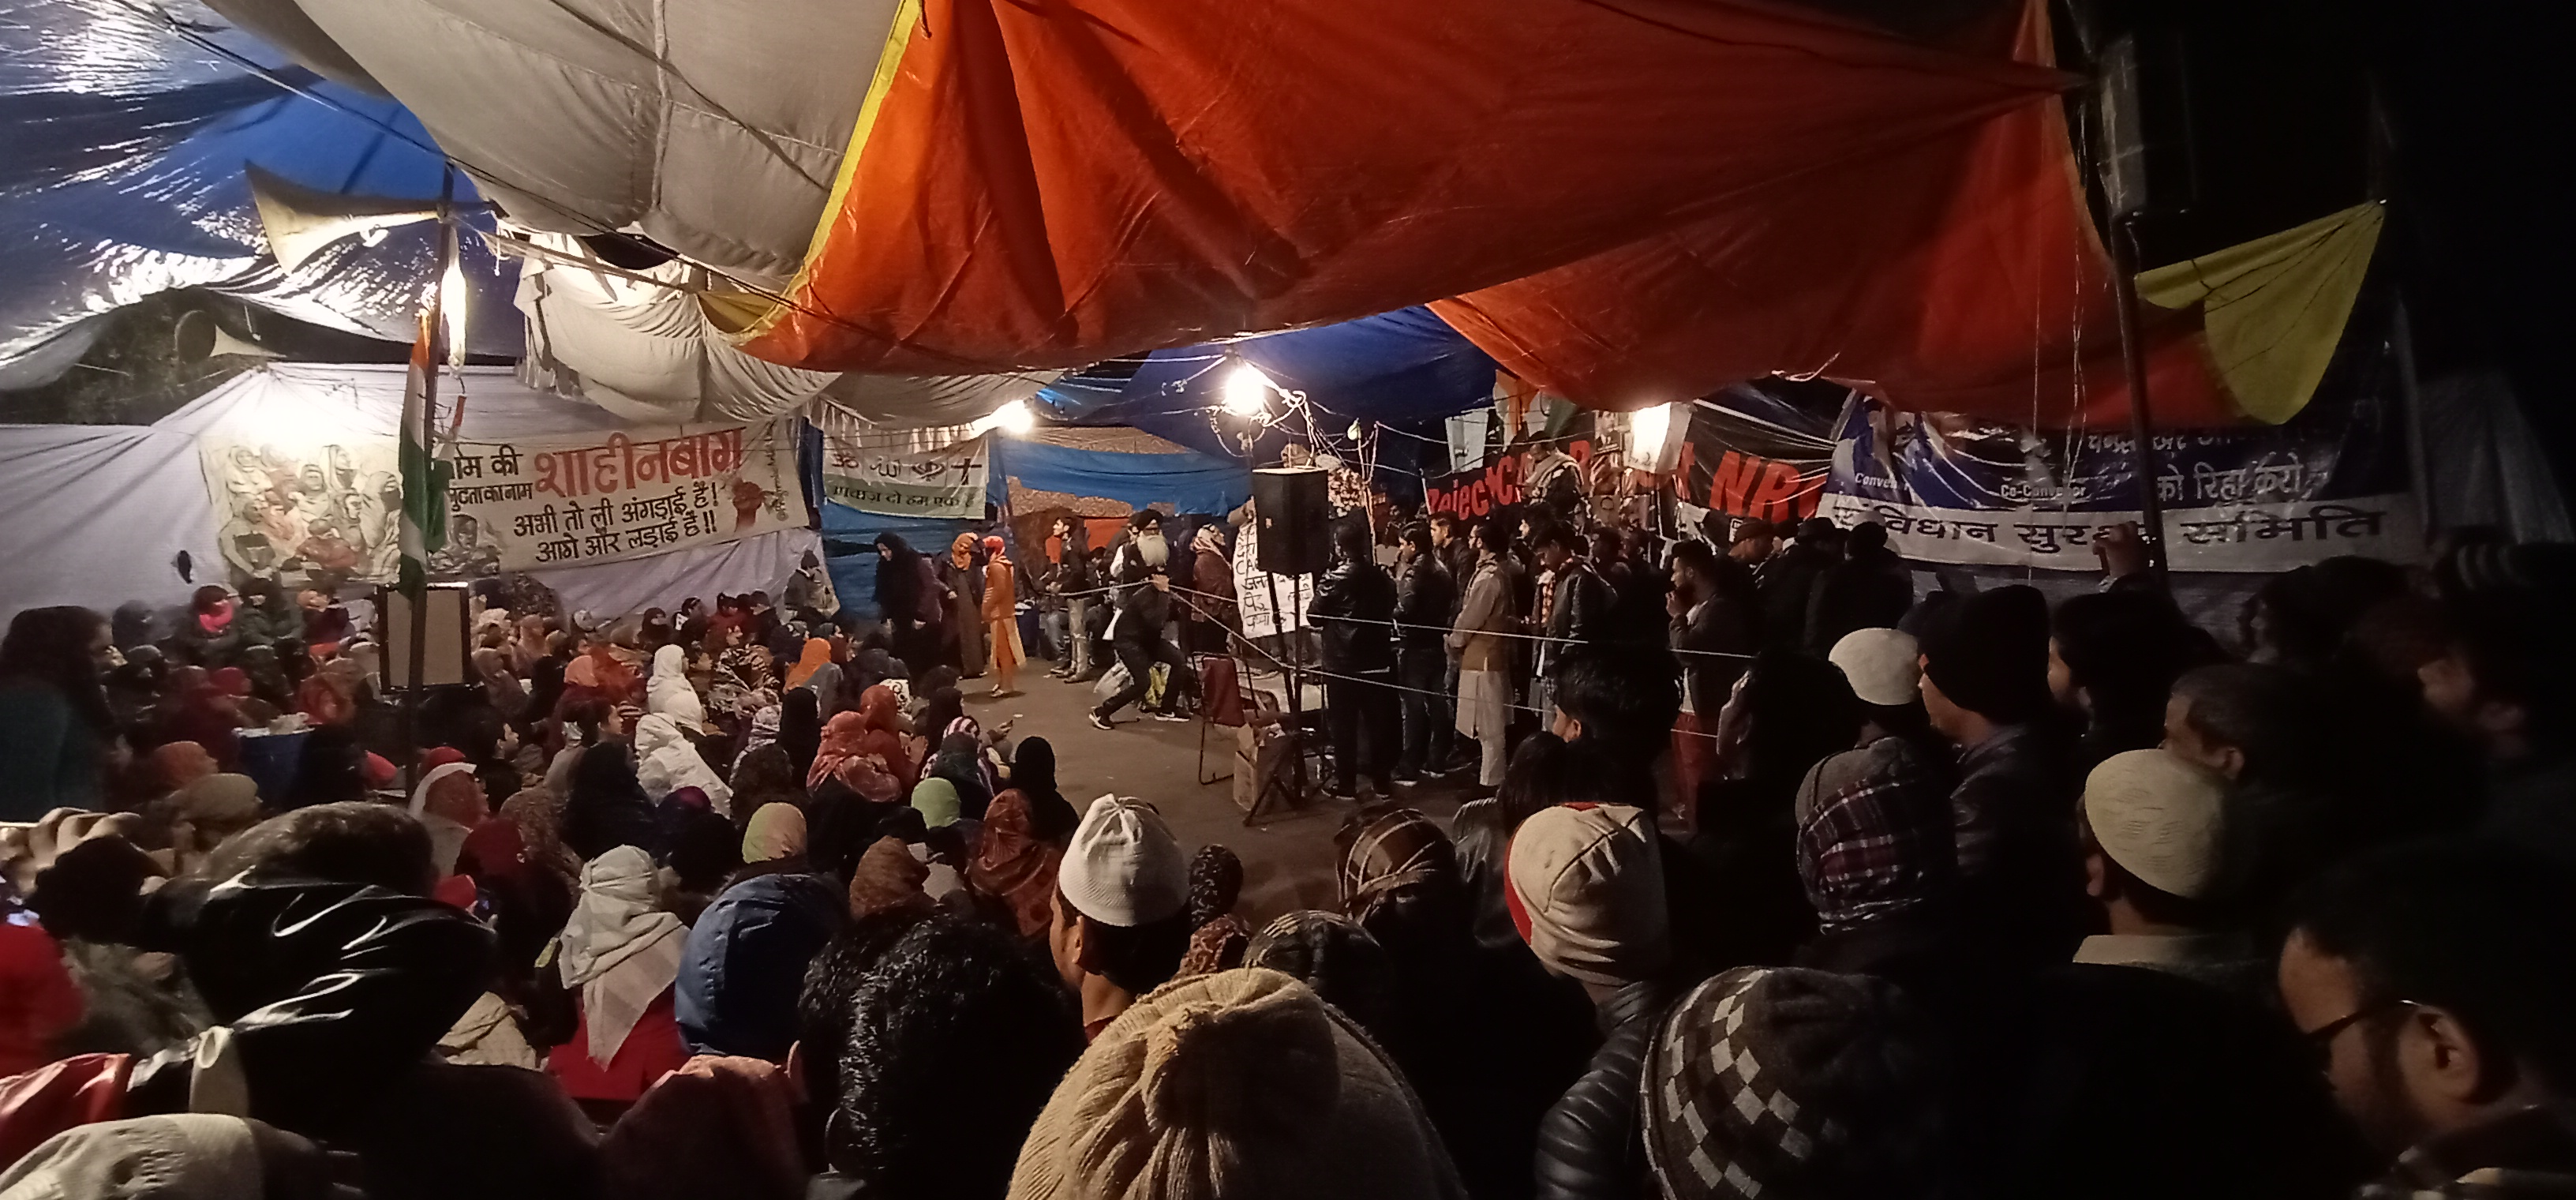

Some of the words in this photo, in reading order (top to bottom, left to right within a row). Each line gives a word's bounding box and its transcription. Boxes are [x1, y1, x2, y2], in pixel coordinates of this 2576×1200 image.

[444, 440, 485, 485] म
[444, 482, 486, 515] जुटता
[475, 481, 507, 506] का
[487, 434, 522, 479] क‍ी
[501, 478, 535, 504] नाम
[507, 501, 562, 542] अभी
[535, 526, 585, 566] आगे
[558, 493, 590, 534] तो
[587, 489, 619, 530] ली
[582, 519, 626, 561] और
[526, 422, 750, 504] शाहीनबाग
[623, 512, 684, 556] लड़ाई
[616, 481, 694, 526] अंगड़ाई
[676, 504, 722, 543] है ‍!!
[688, 474, 725, 512] है!
[828, 480, 884, 503] आवाज
[880, 483, 906, 508] दो
[901, 486, 932, 509] हम
[930, 489, 962, 512] एक
[960, 489, 980, 508] है
[1829, 495, 2001, 546] विधान
[2011, 516, 2164, 557] सुर
[2145, 458, 2189, 505] काे
[2186, 453, 2248, 505] रिहा
[2251, 441, 2308, 497] करो
[2177, 496, 2389, 550] समिति